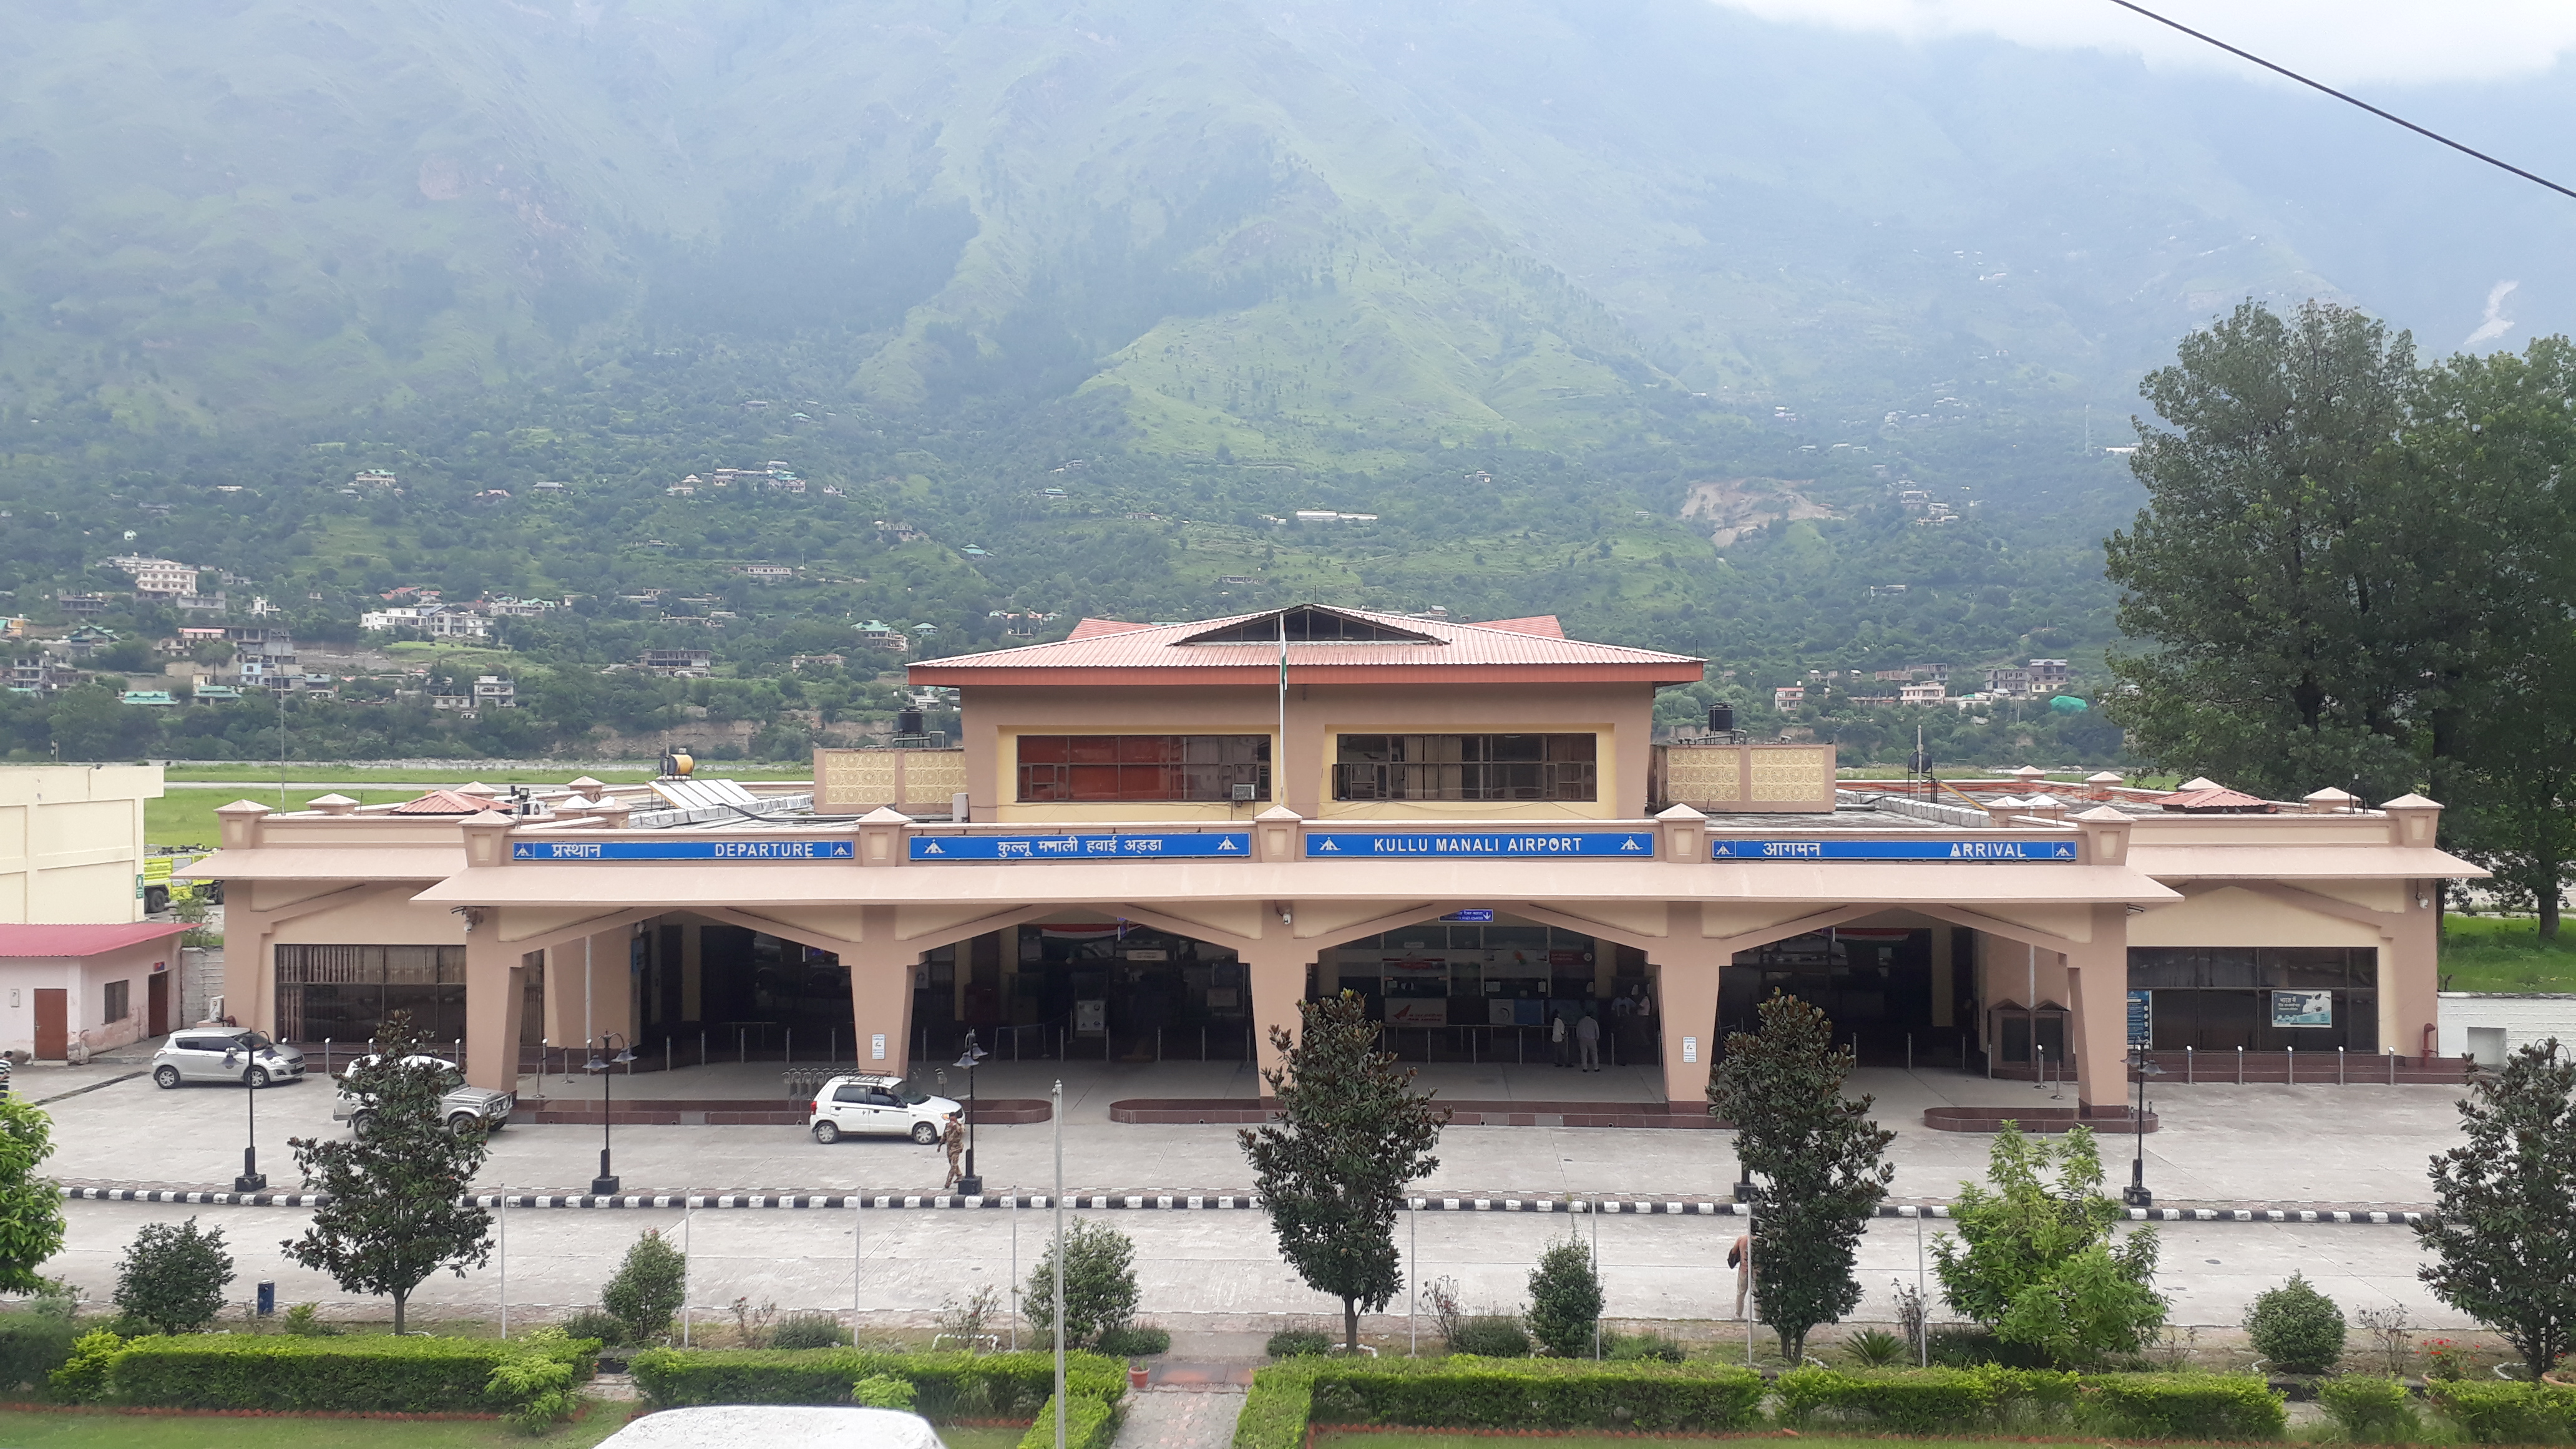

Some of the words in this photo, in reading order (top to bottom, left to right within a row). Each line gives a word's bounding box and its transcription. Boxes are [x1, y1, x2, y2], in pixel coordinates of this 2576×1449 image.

[551, 840, 603, 861] प्रस्‍थान
[714, 839, 815, 861] DEPARTURE
[995, 838, 1035, 859] कुल्लू
[1036, 832, 1080, 856] मनाली
[1086, 833, 1120, 856] हवाई
[1121, 836, 1164, 858] अड्डा
[1370, 835, 1430, 854] KULLU
[1435, 834, 1501, 854] MANALI
[1502, 832, 1583, 855] AIRPORT
[1760, 838, 1824, 859] आगमन
[1946, 839, 2028, 861] ARRIVAL